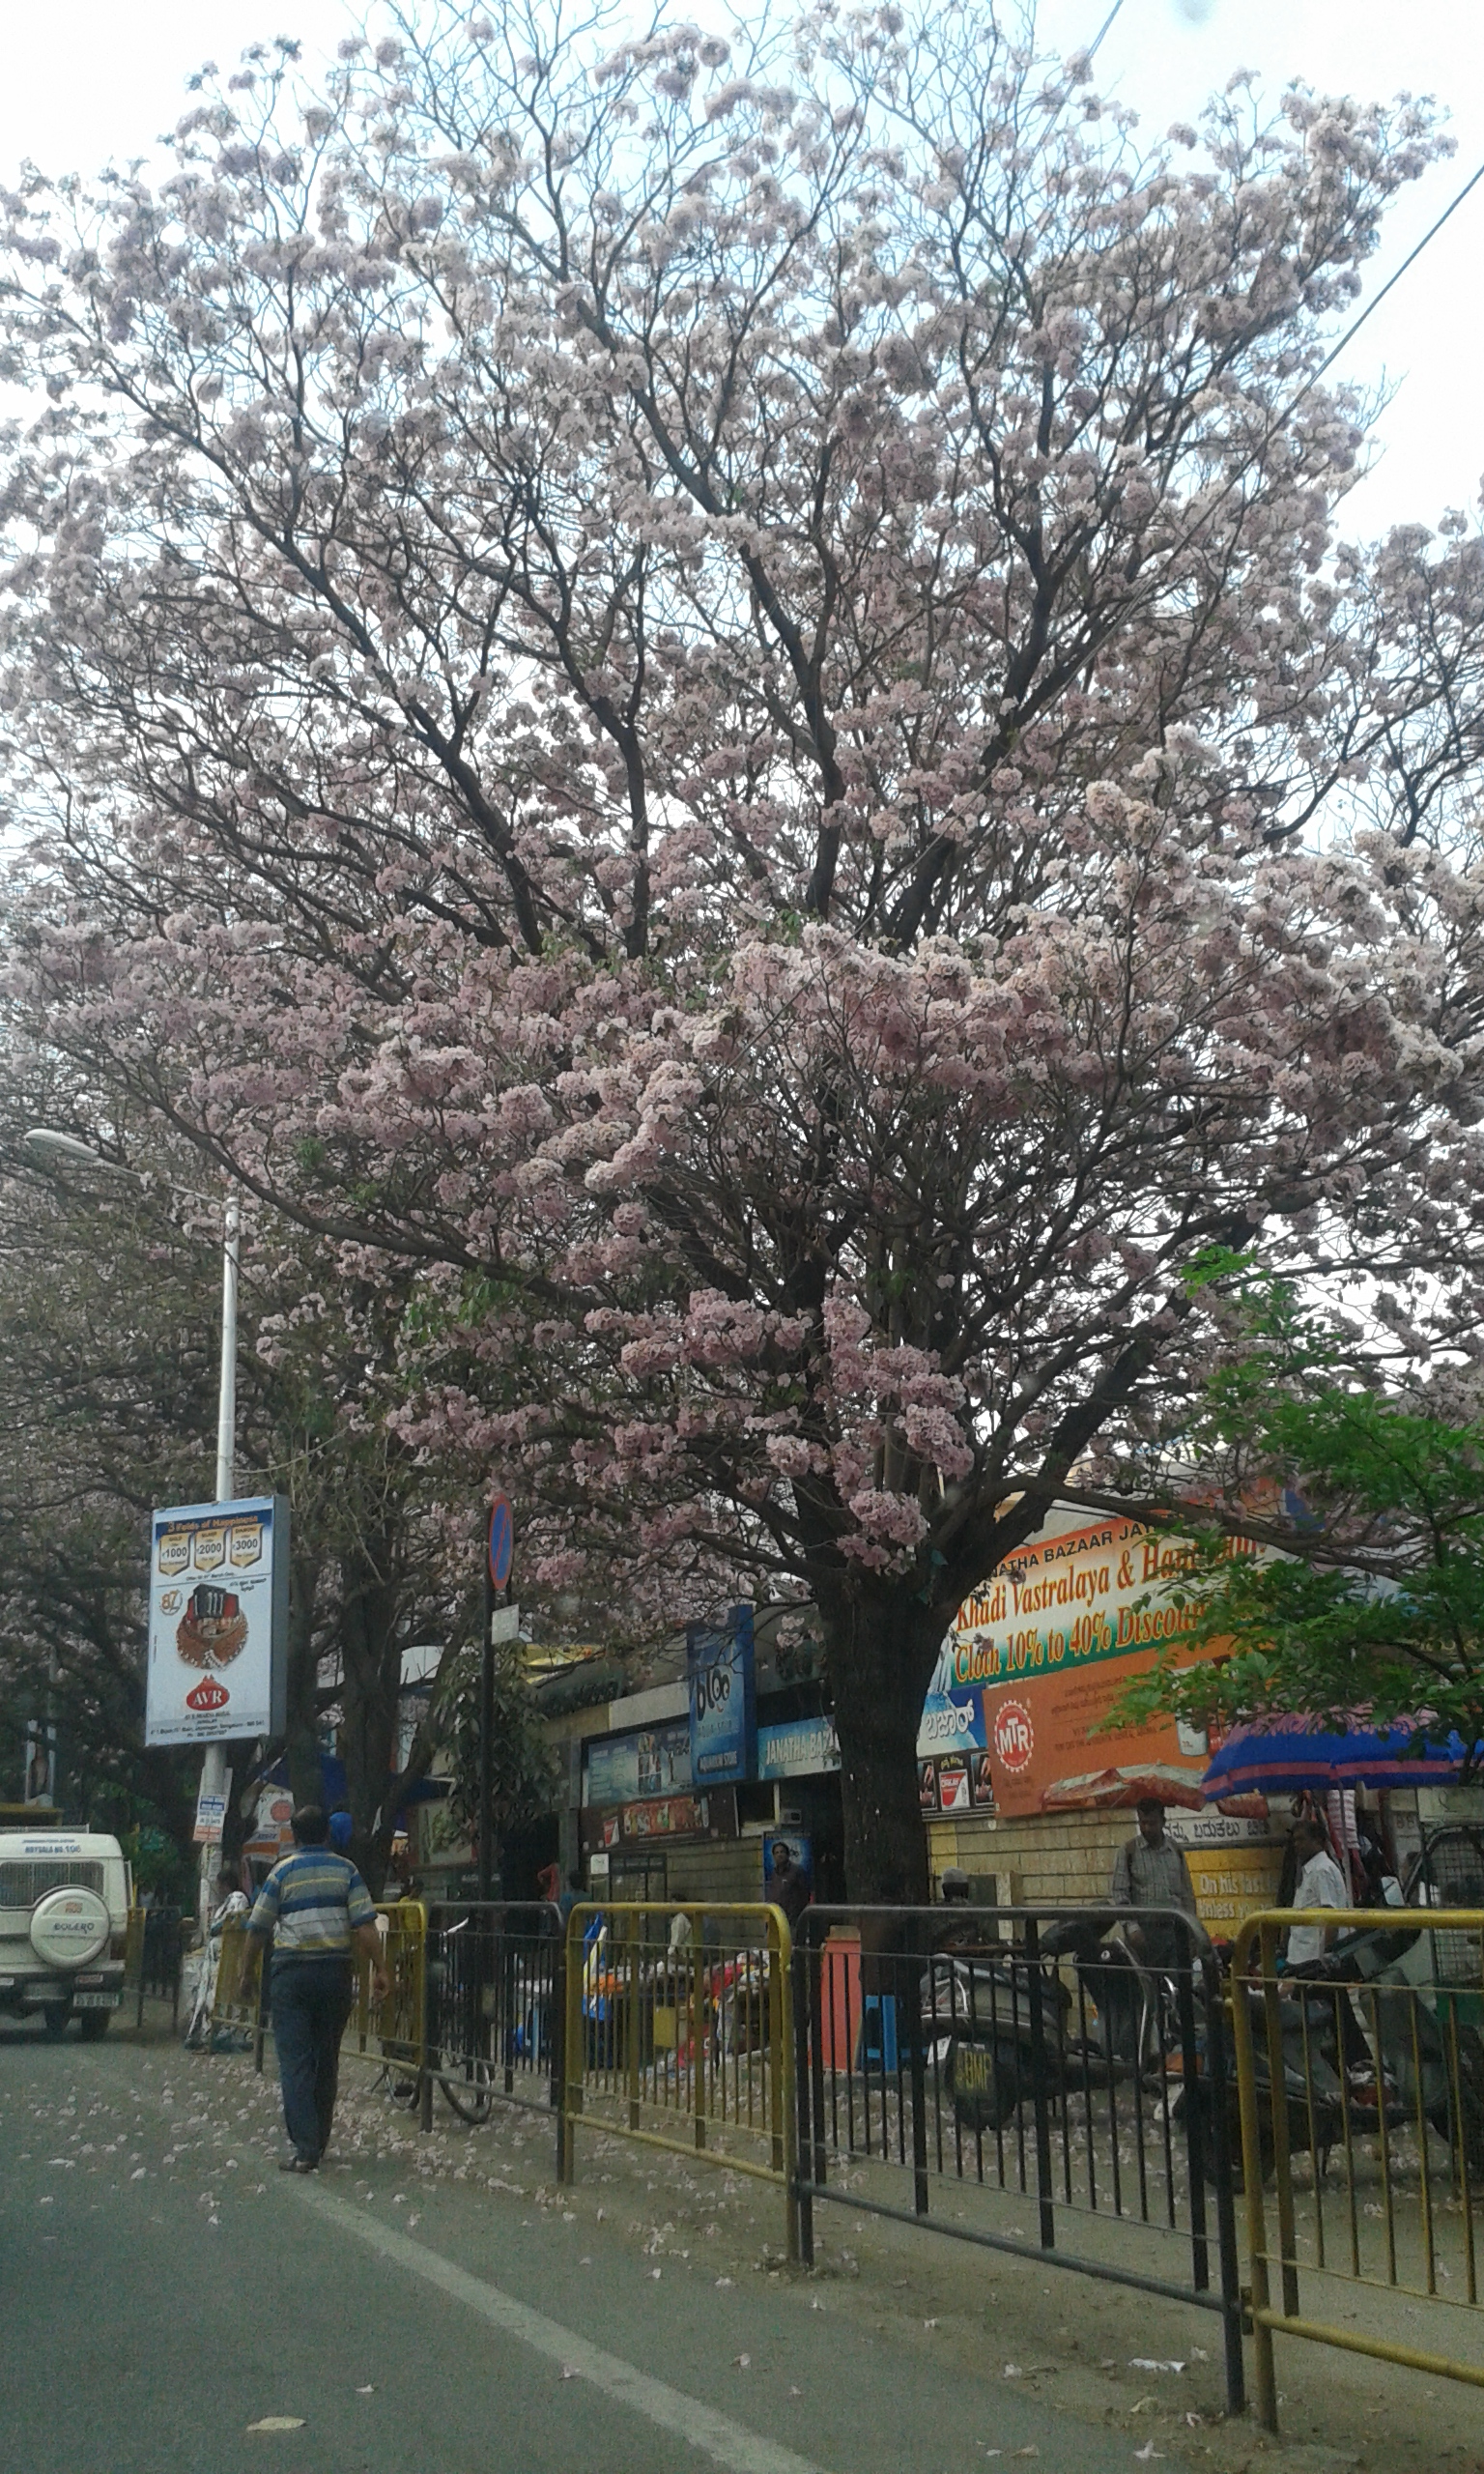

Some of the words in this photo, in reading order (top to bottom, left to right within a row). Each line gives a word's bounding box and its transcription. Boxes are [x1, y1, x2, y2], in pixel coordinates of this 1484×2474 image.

[163, 1542, 191, 1563] 1000
[161, 1518, 201, 1538] 3Folds
[196, 1514, 214, 1534] of
[194, 1540, 225, 1561] 2000
[210, 1513, 259, 1534] Happiness
[231, 1534, 263, 1552] 3000
[1041, 1522, 1117, 1567] BAZAAR
[952, 1635, 1005, 1684] Cloth
[951, 1578, 1011, 1640] Khadi
[1004, 1625, 1046, 1675] 10%
[1045, 1623, 1070, 1670] to
[1013, 1558, 1113, 1620] Vastralaya
[1062, 1595, 1209, 1664] 40%Discount
[920, 1699, 979, 1743] ಬಜಾರ್
[1190, 1816, 1245, 1844] ಬದುಕಲು